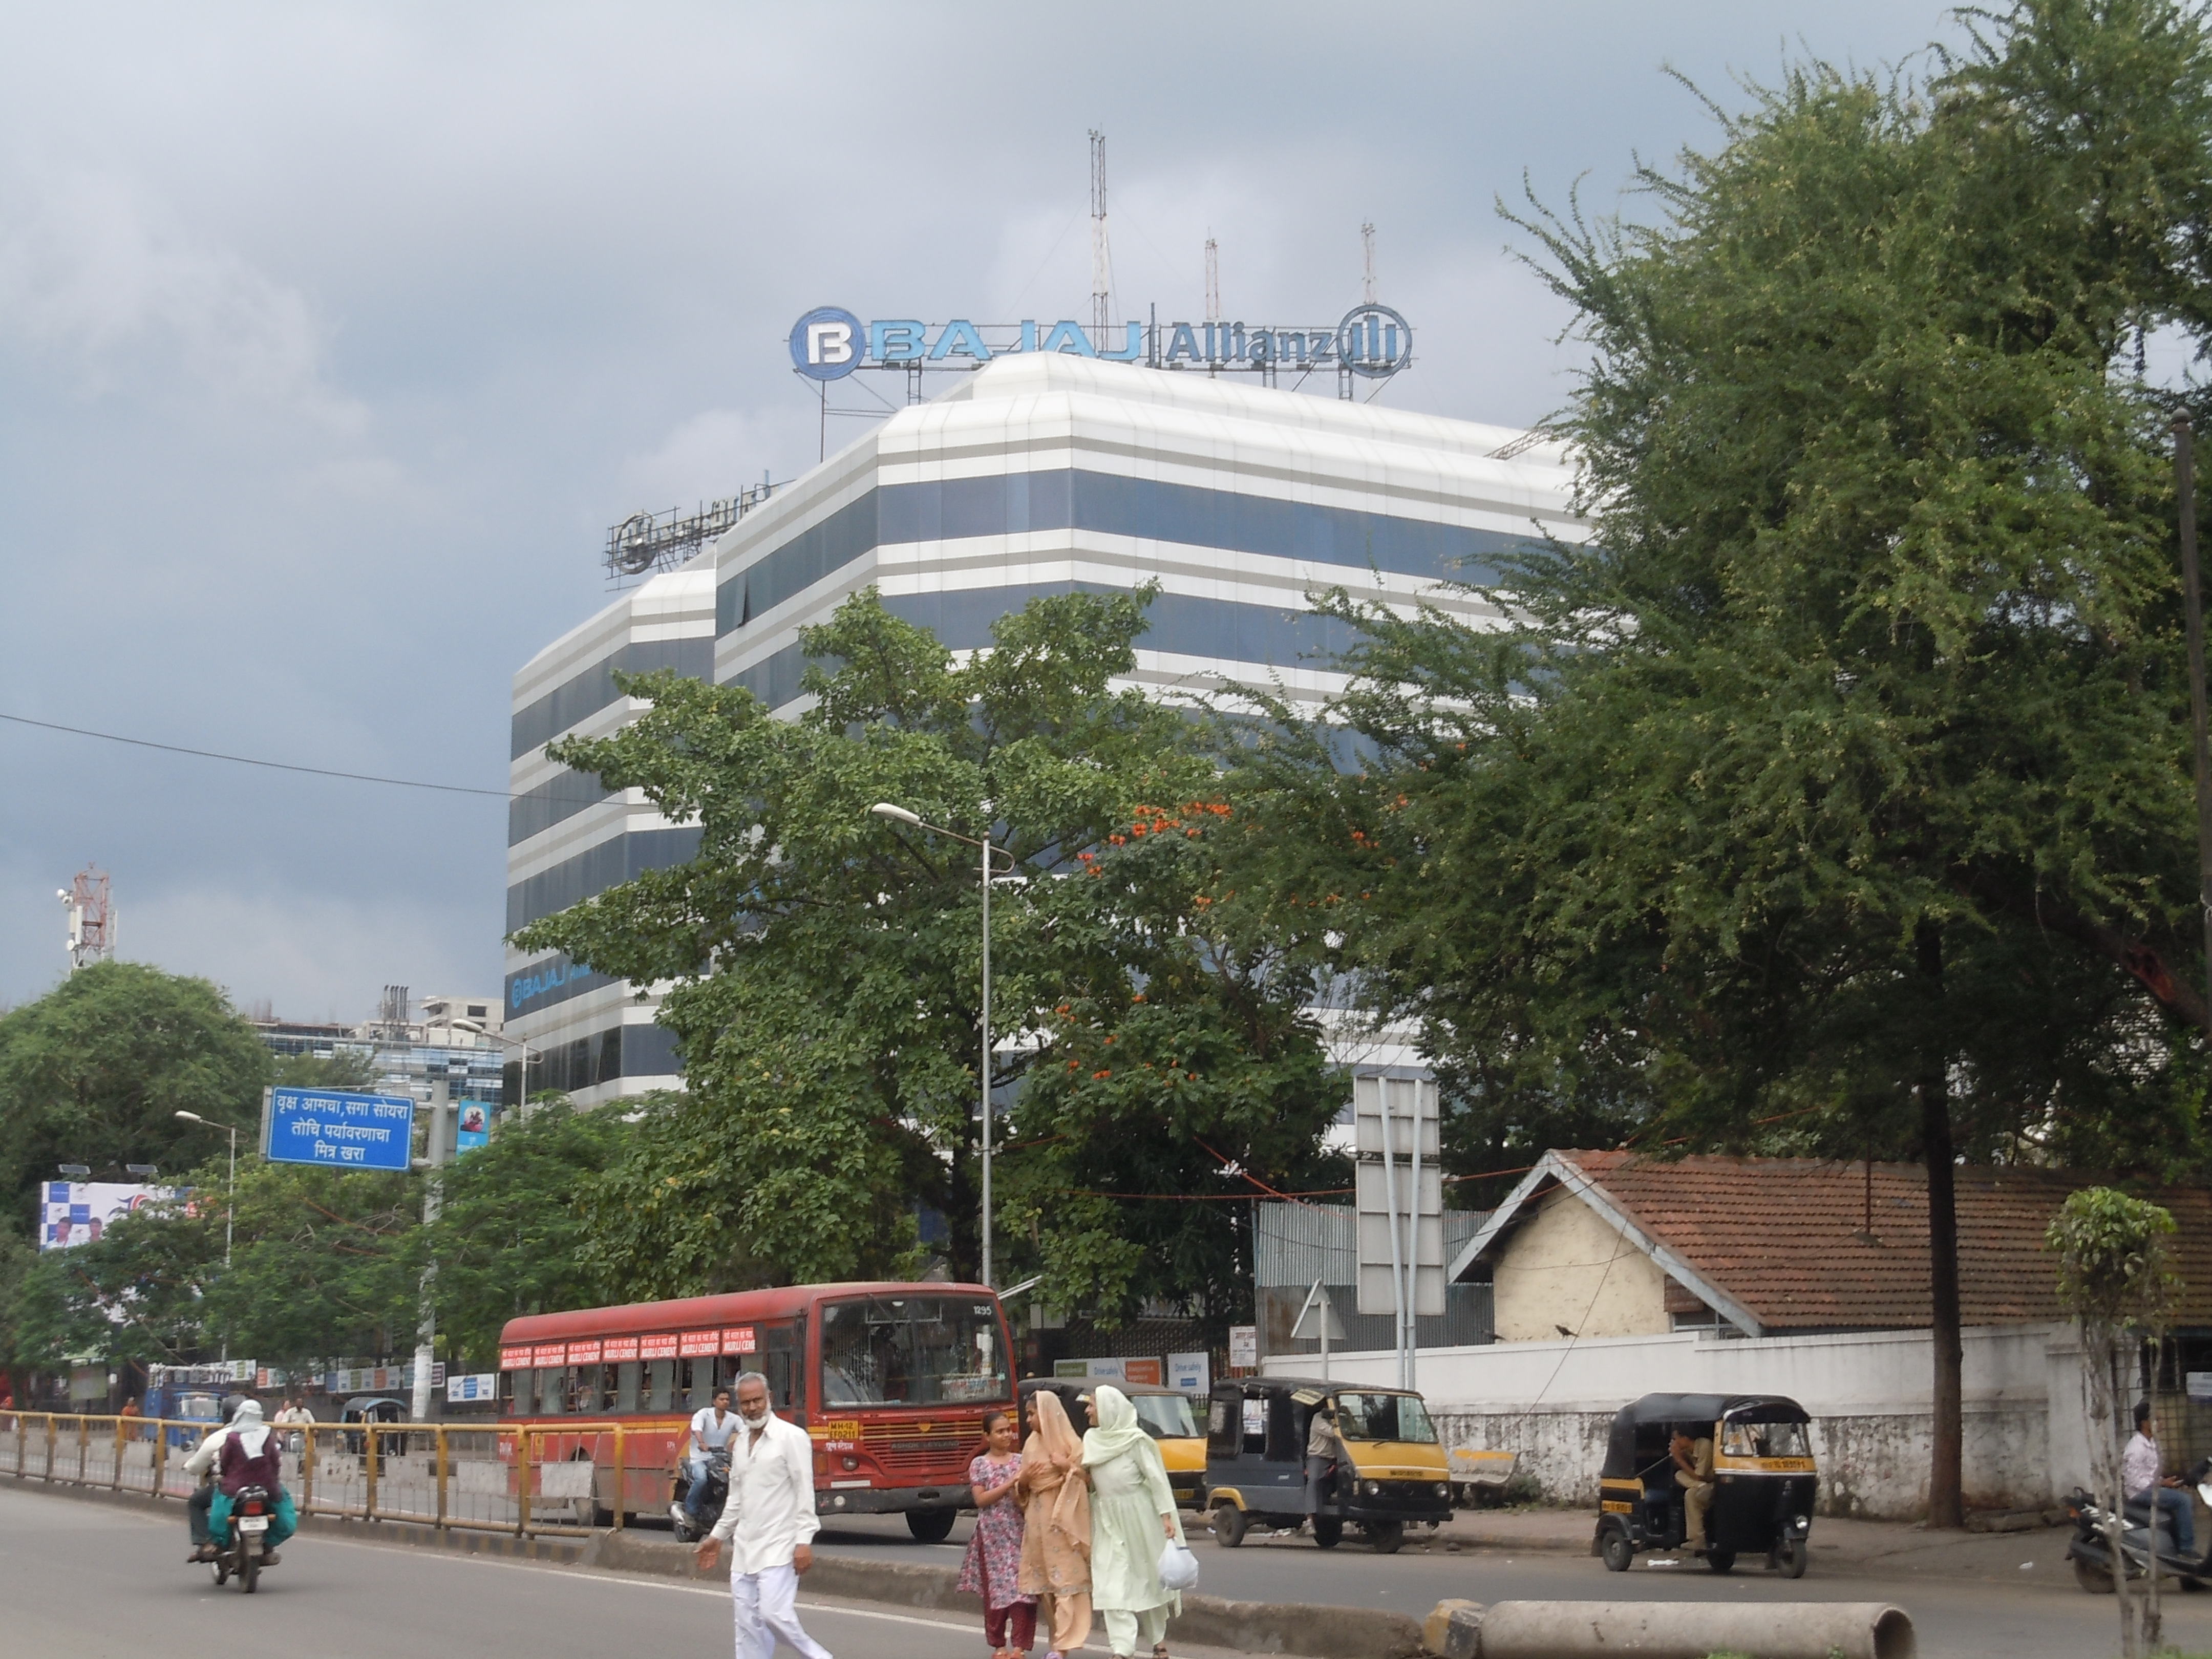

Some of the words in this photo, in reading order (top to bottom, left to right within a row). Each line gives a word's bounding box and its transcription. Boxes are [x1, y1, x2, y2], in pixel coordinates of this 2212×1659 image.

[798, 317, 860, 371] B
[868, 314, 1152, 366] BAJAJ
[1162, 310, 1337, 368] Allianz
[1345, 310, 1405, 368] III
[522, 960, 567, 1002] BAJAJ
[273, 1090, 301, 1116] वृक्ष
[300, 1093, 348, 1118] आमचा,
[344, 1098, 373, 1120] सगा
[371, 1097, 412, 1122] सोयरा
[288, 1114, 324, 1140] तोचि
[322, 1118, 394, 1145] पर्यावरणाचा
[311, 1138, 338, 1161] मित्र
[339, 1144, 369, 1164] खरा